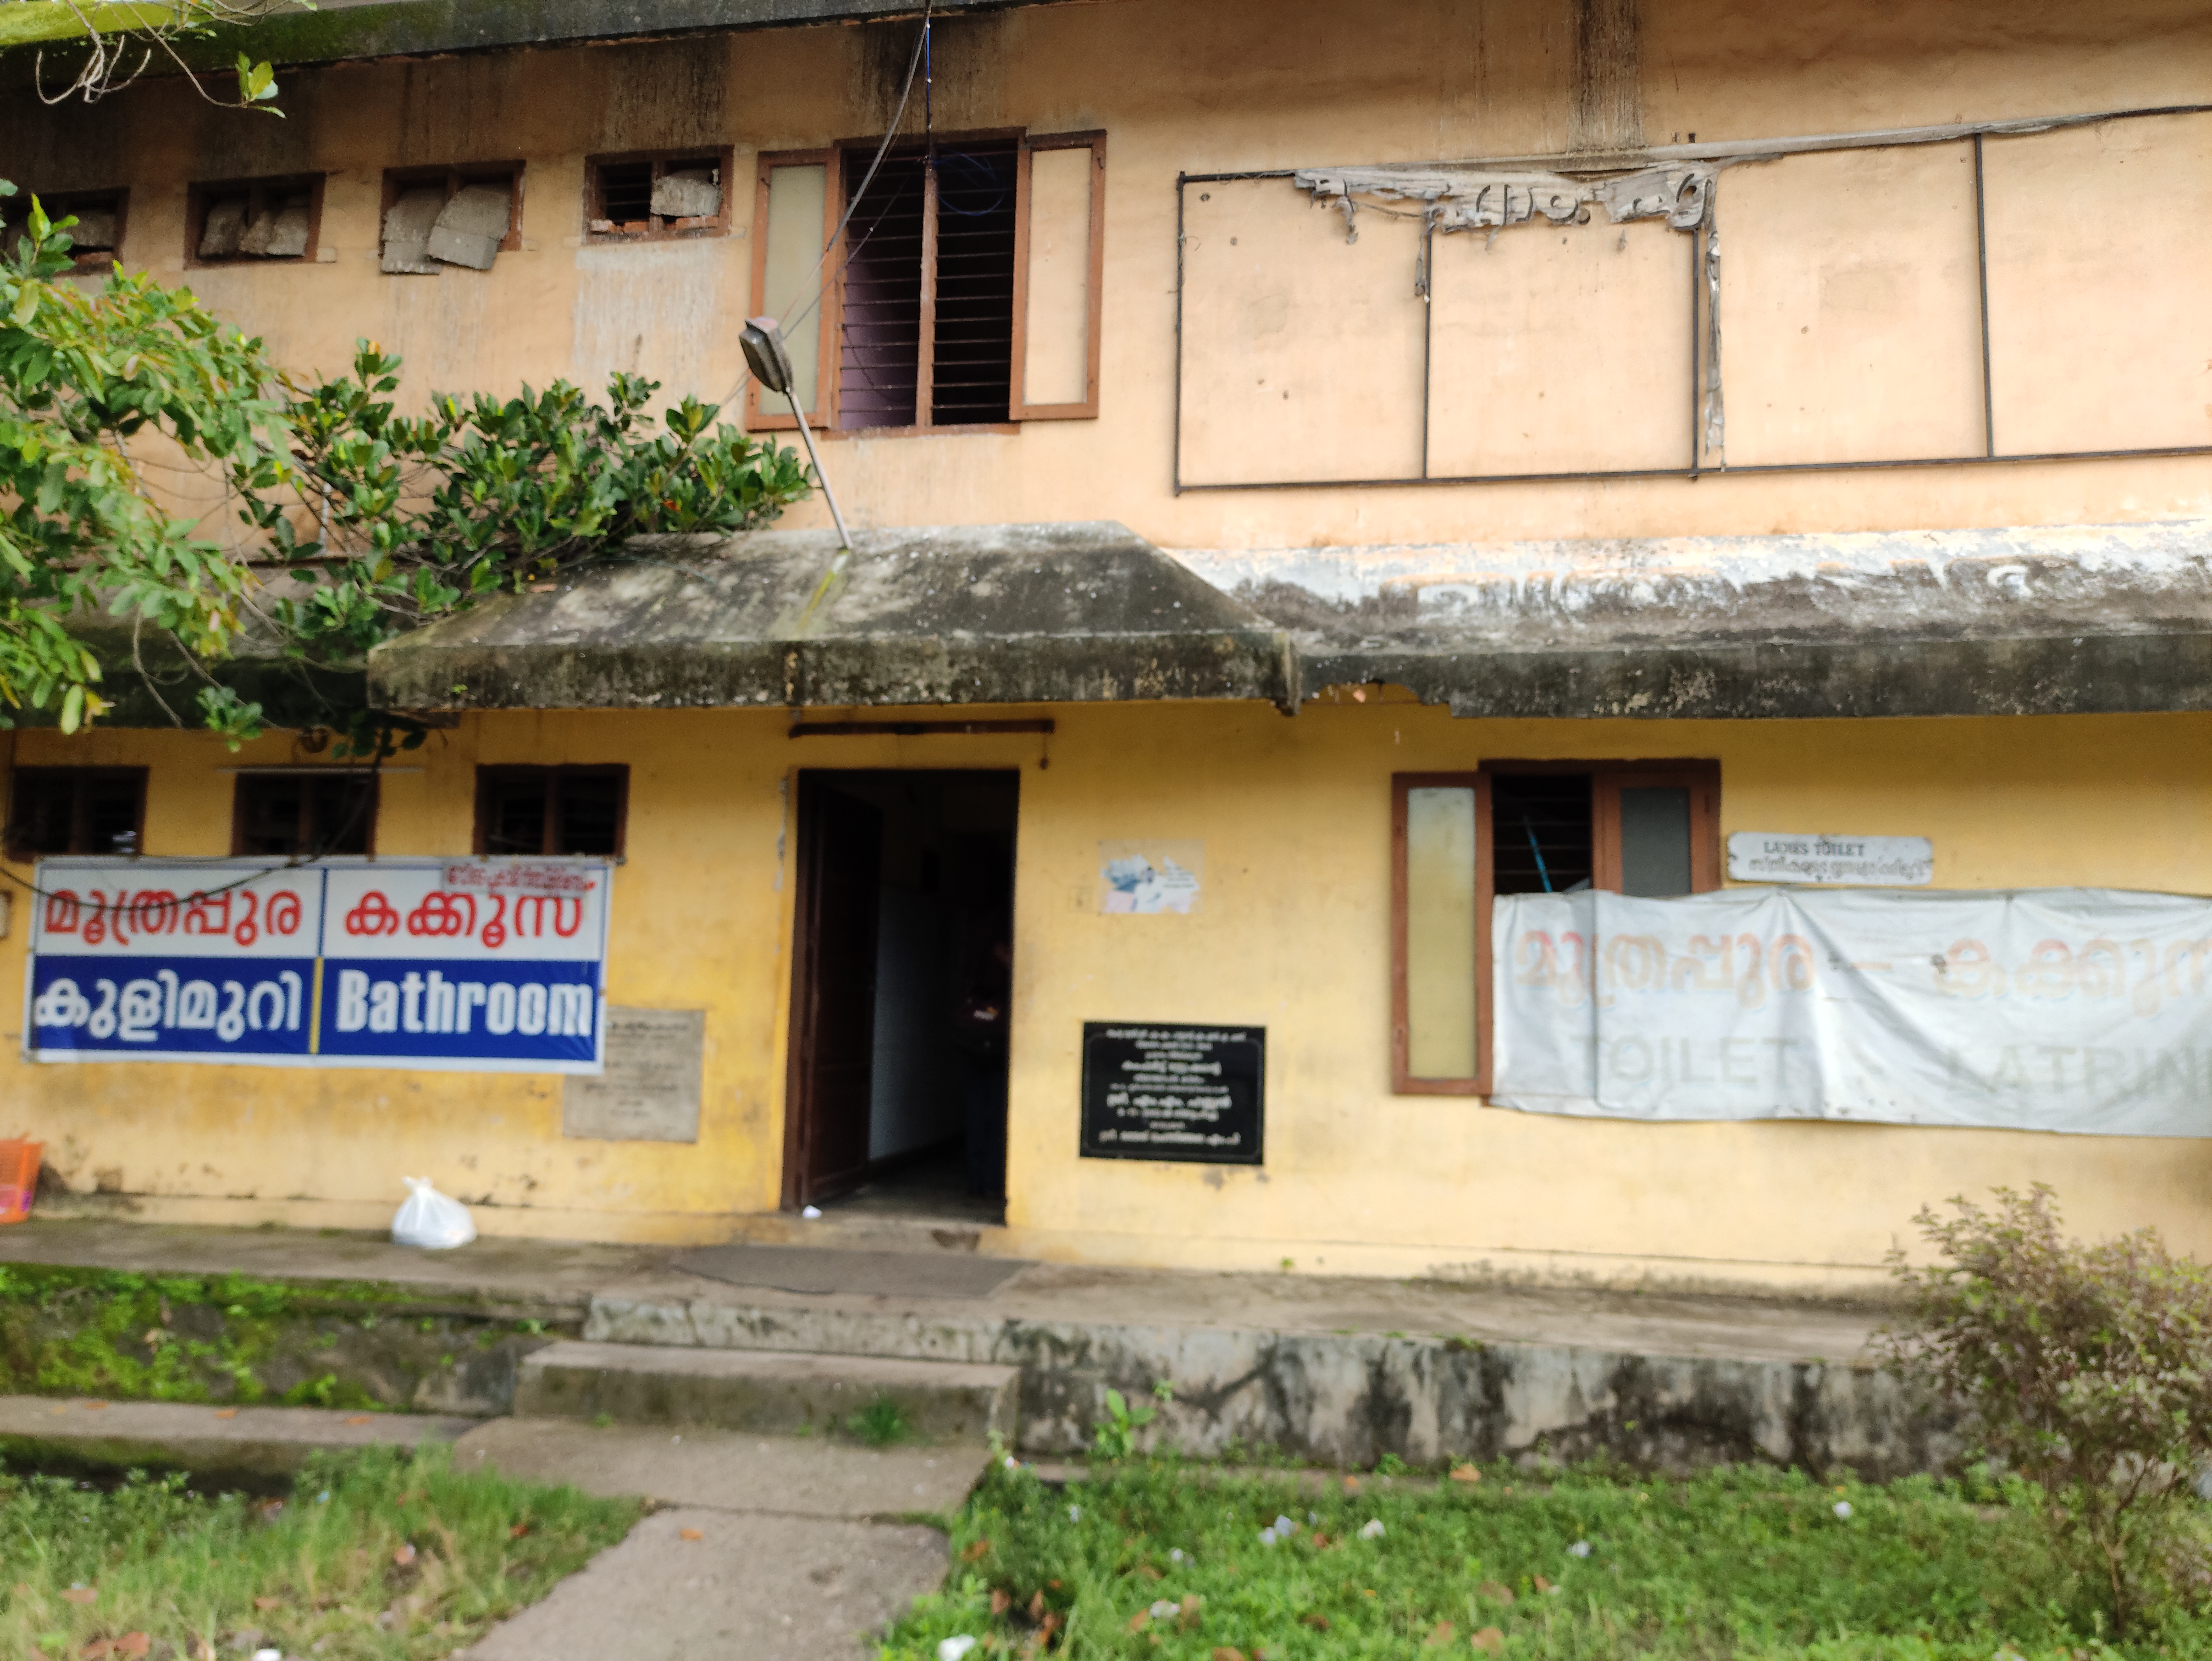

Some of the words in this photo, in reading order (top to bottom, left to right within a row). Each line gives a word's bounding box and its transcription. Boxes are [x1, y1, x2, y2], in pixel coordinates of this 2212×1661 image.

[1759, 835, 1812, 859] LADIES
[1811, 839, 1867, 859] TOILET
[41, 884, 304, 949] മൂത്രപ്പുര
[340, 883, 586, 950] കക്കൂസ
[27, 961, 310, 1047] കുളിമുറി
[331, 967, 595, 1039] Bathroom
[1515, 924, 1823, 1016] മൂത്രപ്പുര
[1930, 931, 2196, 1020] കക്കൂറ
[1568, 1030, 1807, 1092] TOILET
[1942, 1033, 2193, 1099] LATRIN